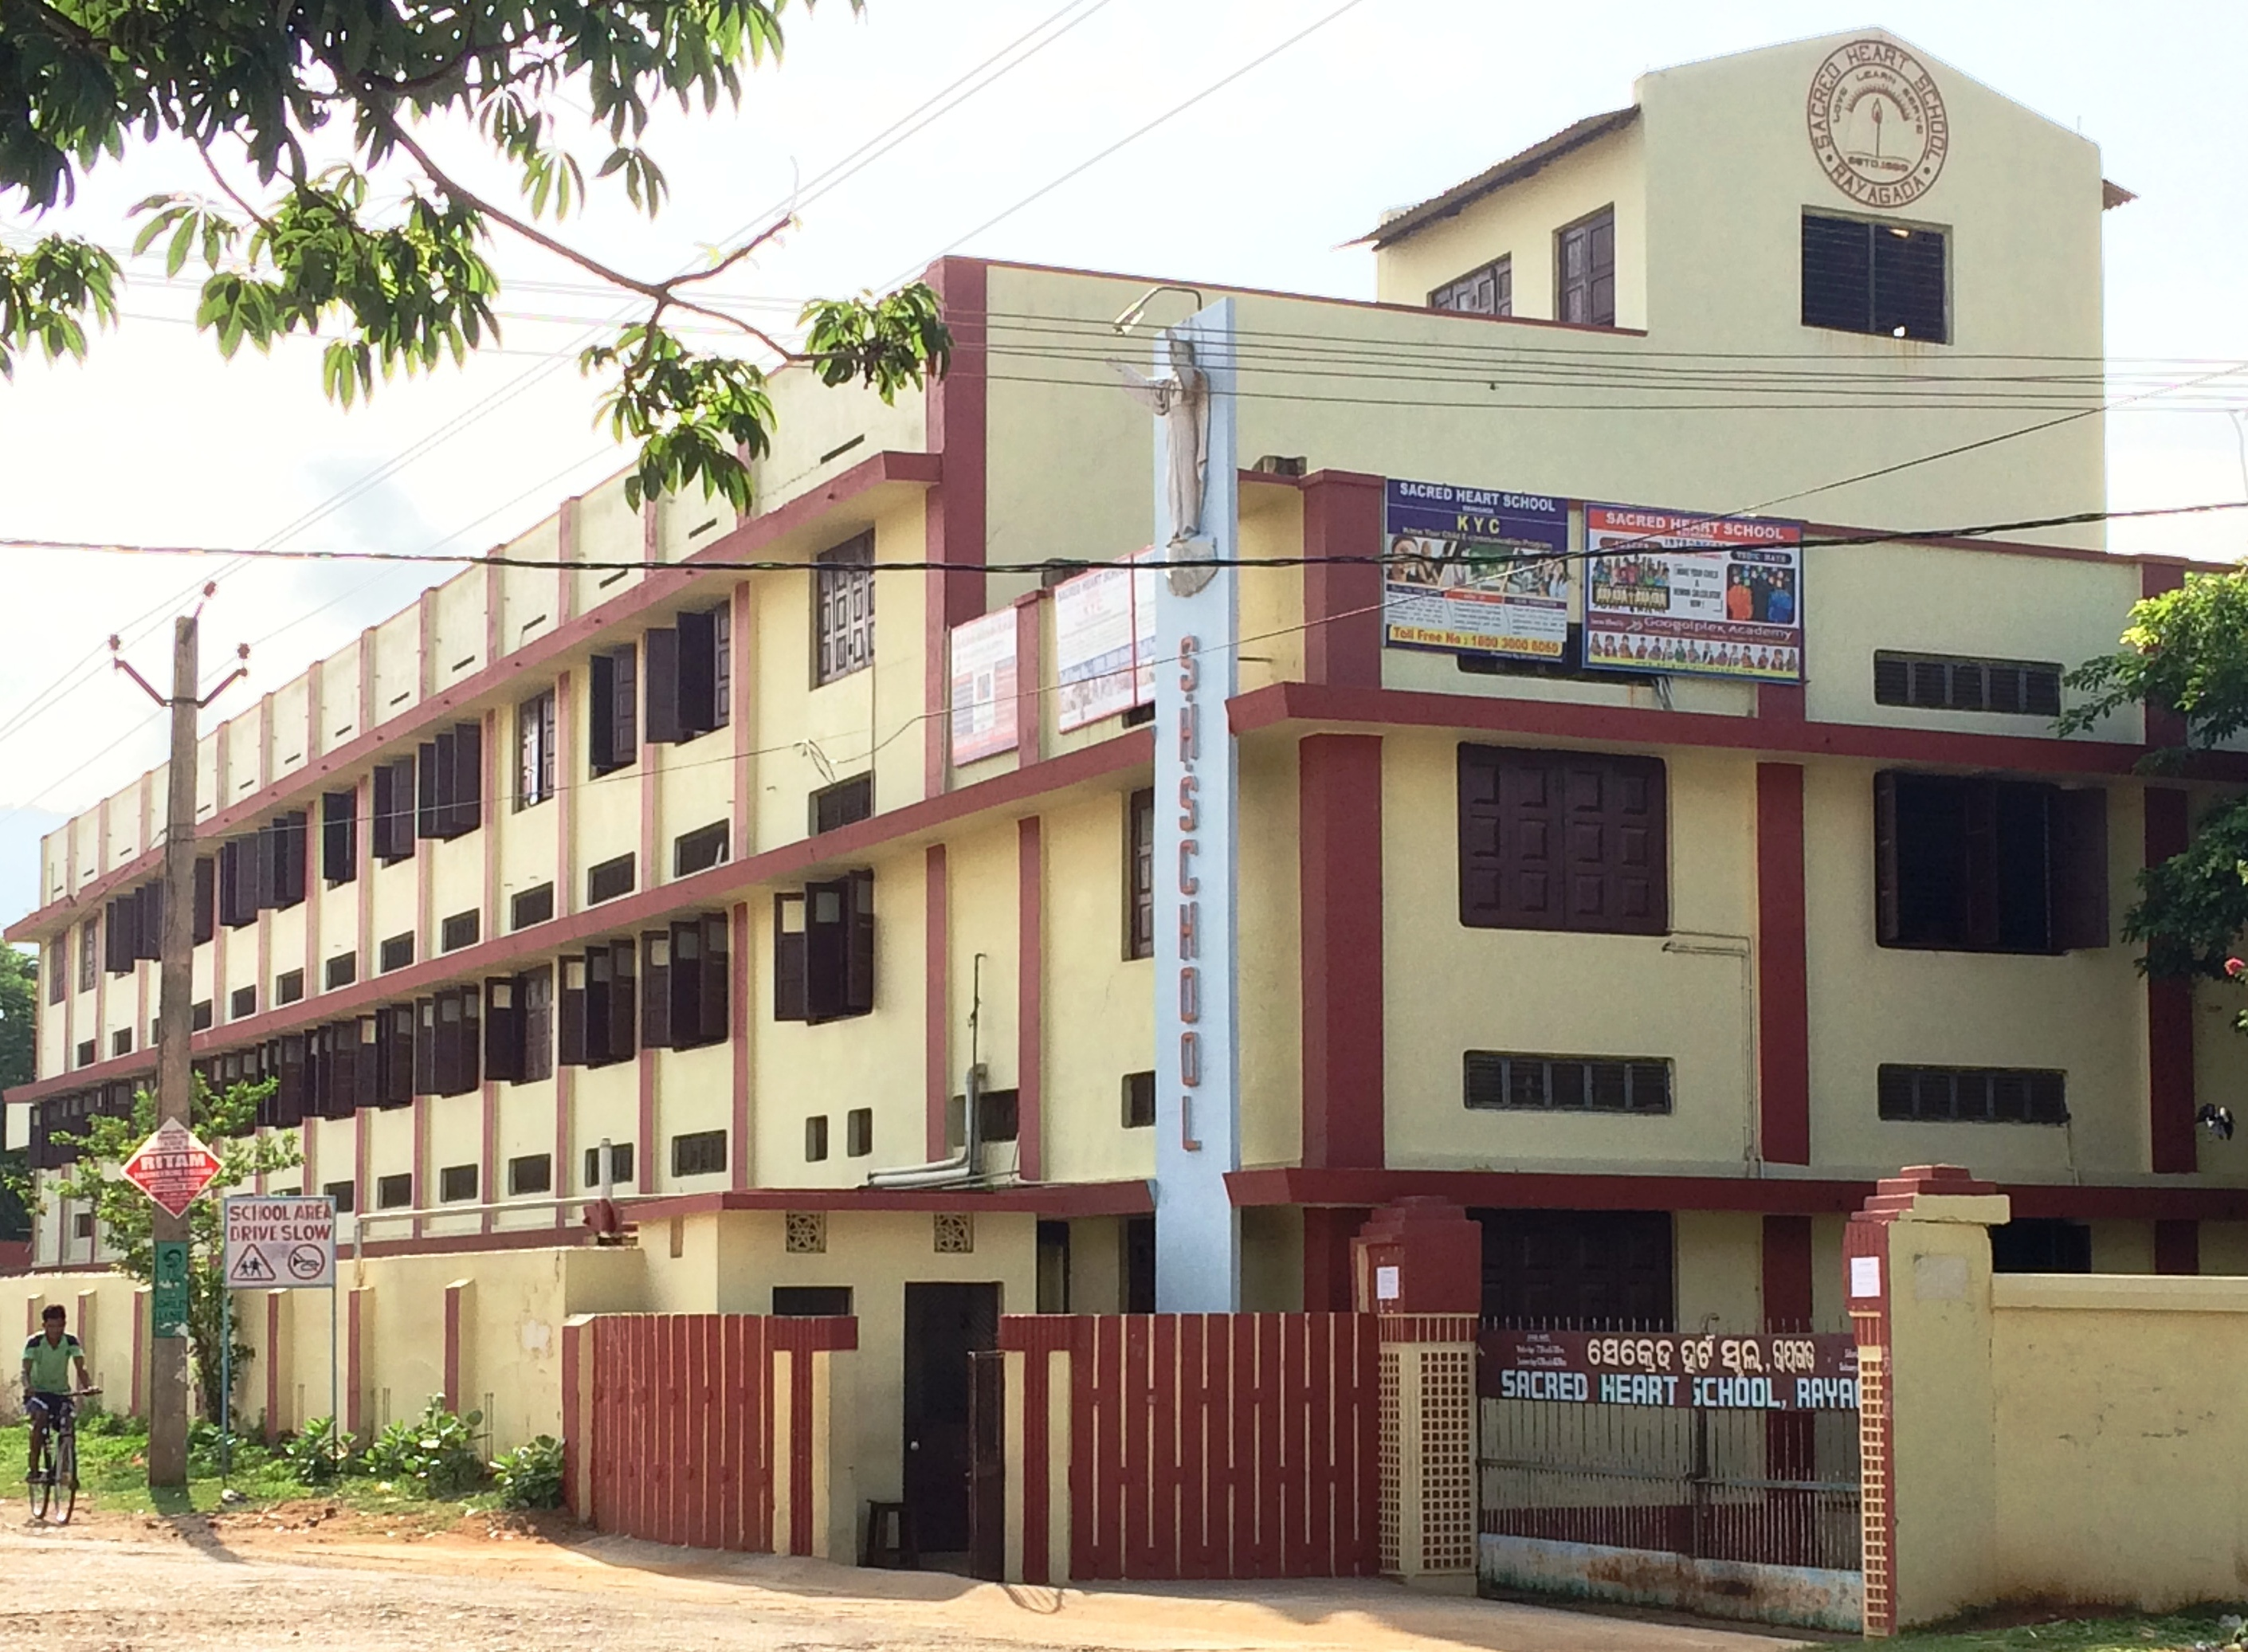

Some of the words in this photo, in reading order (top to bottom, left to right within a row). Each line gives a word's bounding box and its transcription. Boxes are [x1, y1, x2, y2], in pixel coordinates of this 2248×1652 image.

[1840, 37, 1915, 74] HEART
[1805, 57, 1845, 152] SACRED
[1909, 71, 1947, 163] SCHOOL
[1823, 159, 1928, 206] RAYAGADA
[1395, 476, 1454, 504] SACRED
[1452, 486, 1503, 508] HEART
[1454, 512, 1504, 537] KYC
[1500, 492, 1559, 514] SCHOOL
[1602, 506, 1670, 533] SACRED
[1668, 515, 1724, 540] HEART
[1715, 522, 1785, 543] SCHOOL
[221, 1199, 296, 1226] SCHOOL
[291, 1199, 337, 1223] AREA
[227, 1219, 281, 1244] DRIVE
[277, 1218, 335, 1246] SLOW
[1582, 1332, 1681, 1375] ସେକ୍ଳେତ୍
[1673, 1331, 1720, 1378] ପୂର୍ଟ
[1718, 1334, 1768, 1382] ସ୍କୁଲ,
[1768, 1332, 1818, 1381] ଋୟଗଡ଼
[1500, 1365, 1591, 1403] SACRED
[1596, 1368, 1679, 1412] HEART
[1686, 1365, 1791, 1415] SCHOOL,